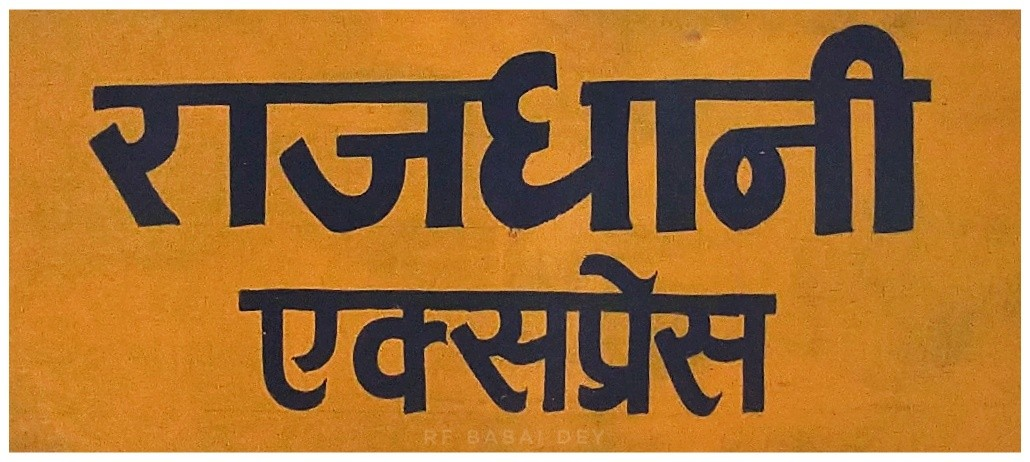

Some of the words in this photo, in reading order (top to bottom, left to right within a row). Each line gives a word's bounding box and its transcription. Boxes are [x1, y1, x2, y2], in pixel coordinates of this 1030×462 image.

[87, 23, 935, 239] राजधानी
[237, 250, 779, 415] एक्सप्रेस